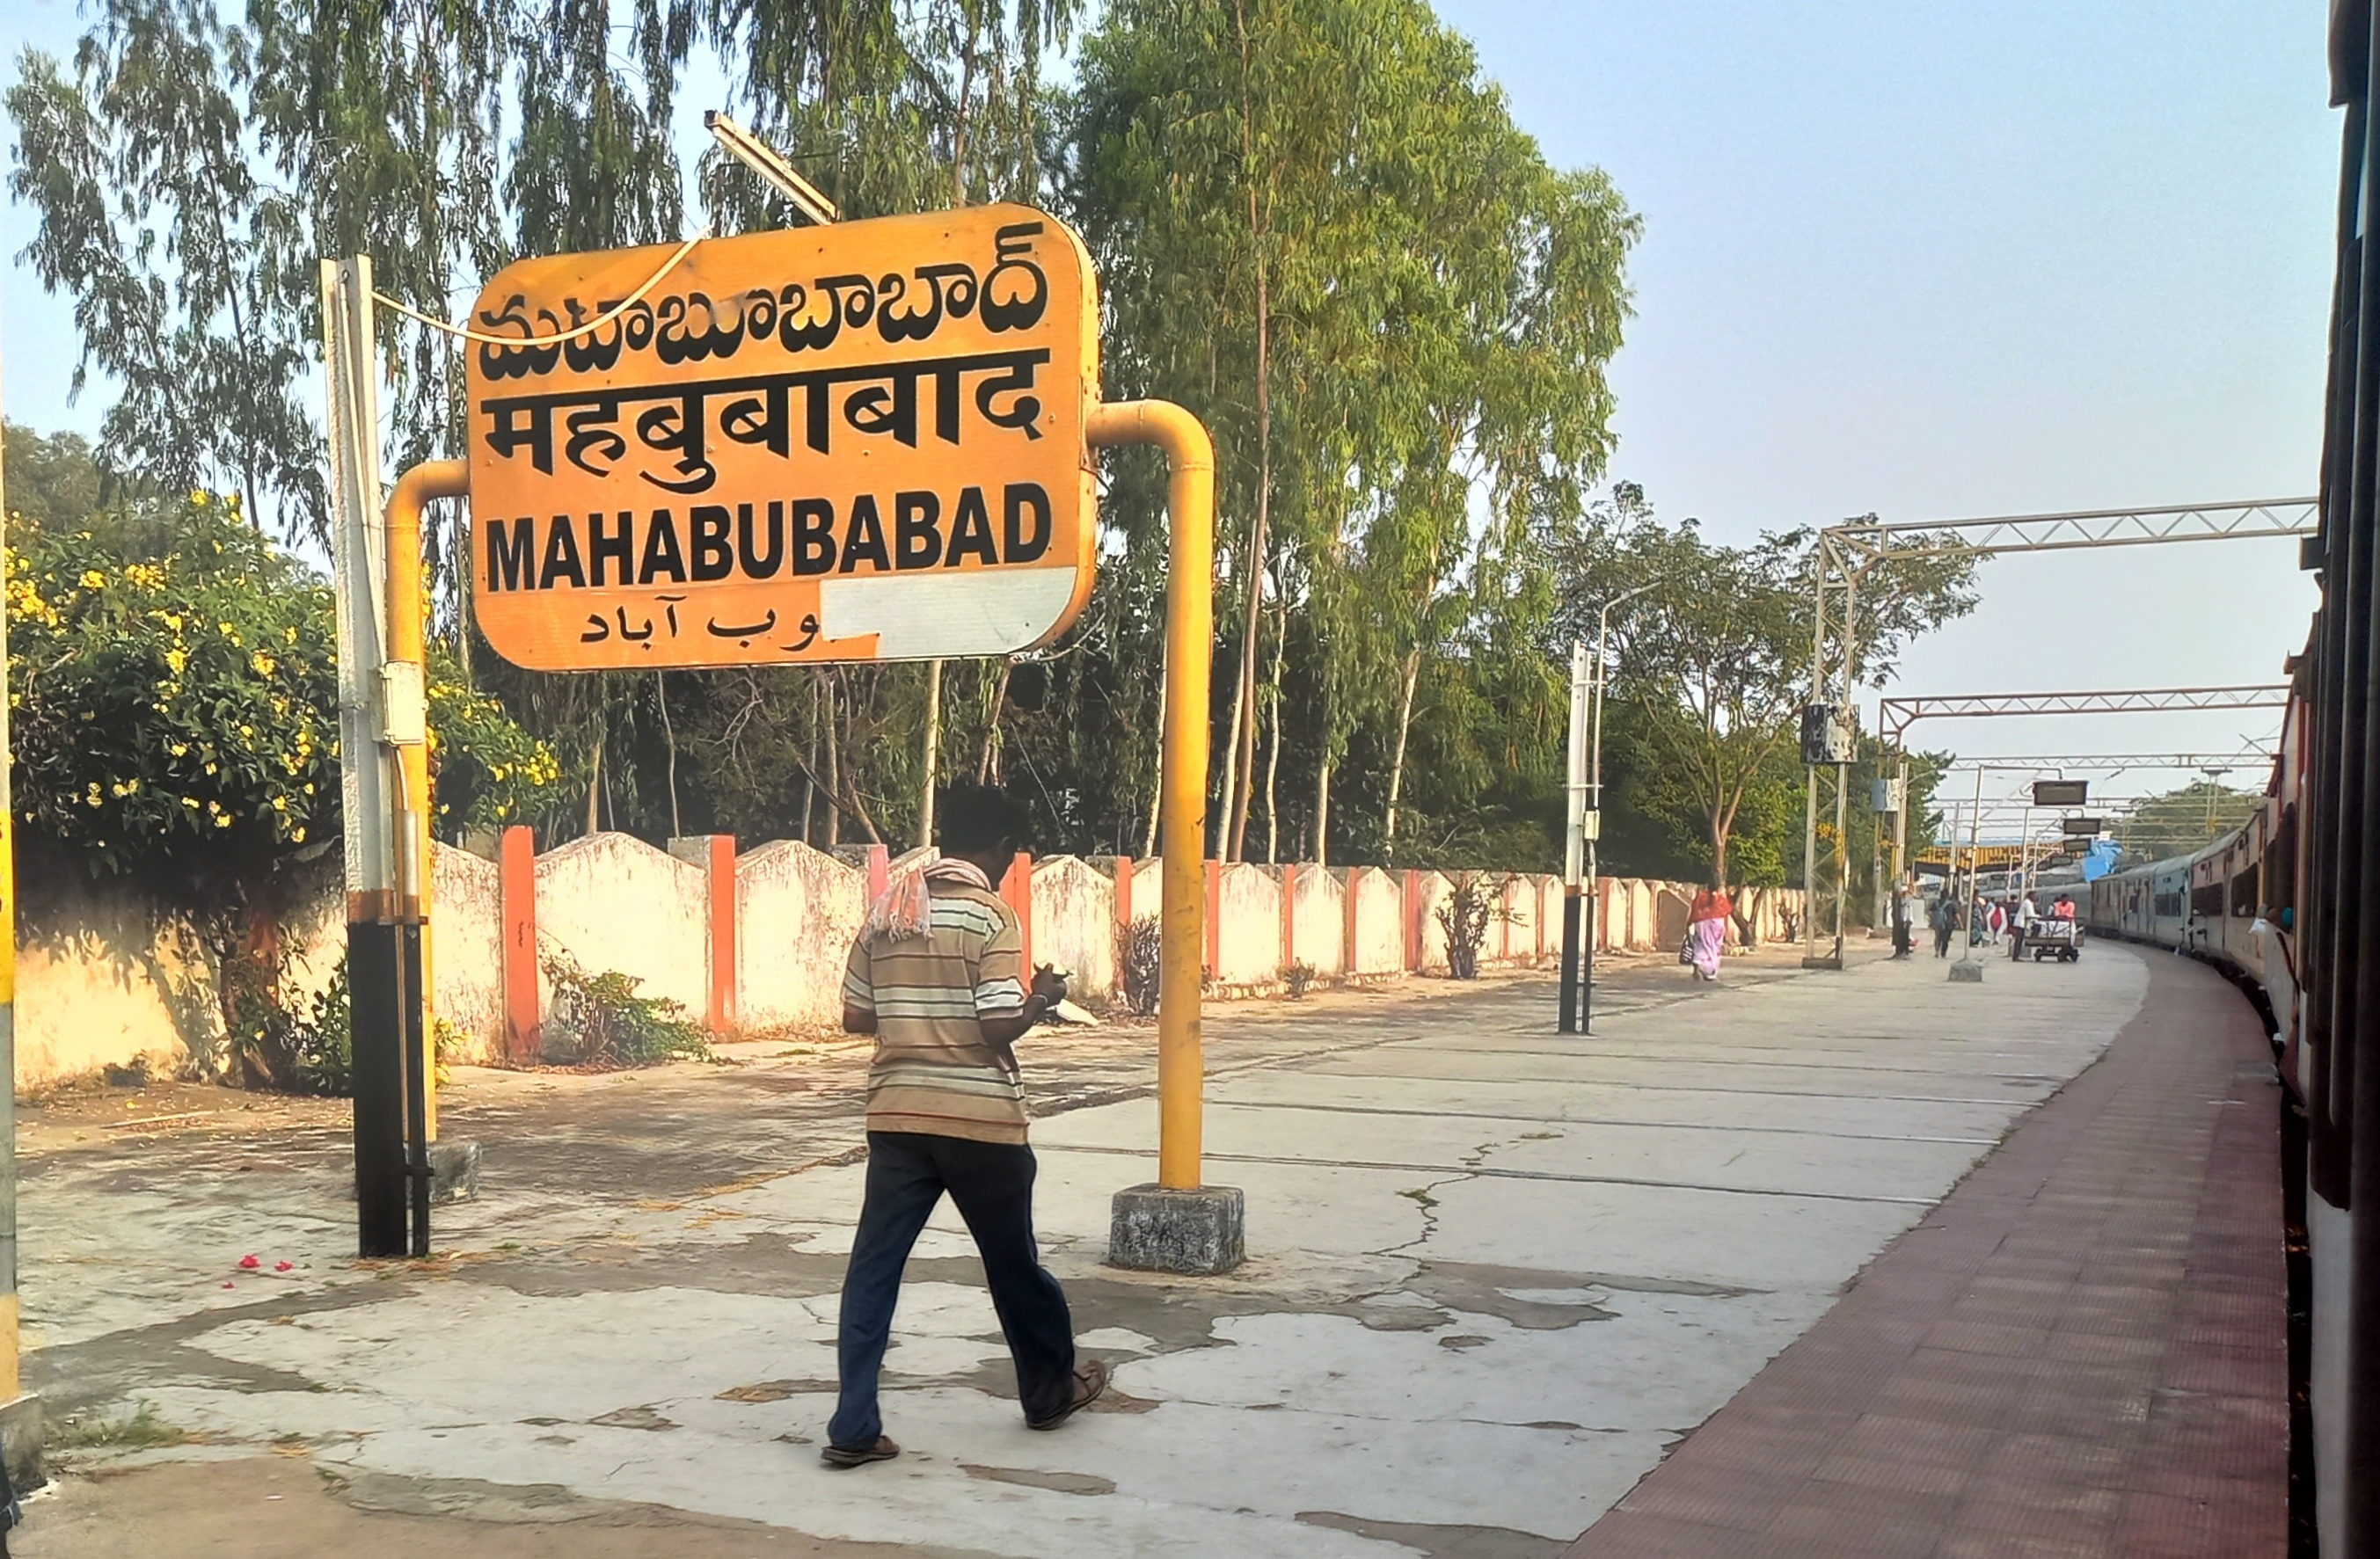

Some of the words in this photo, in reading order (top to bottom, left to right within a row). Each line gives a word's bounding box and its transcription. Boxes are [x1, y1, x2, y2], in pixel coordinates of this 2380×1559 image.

[476, 216, 1052, 382] మహబూబాబాద్
[476, 341, 1055, 497] महबुबाबाद
[483, 476, 1055, 597] MAHABUBABAD